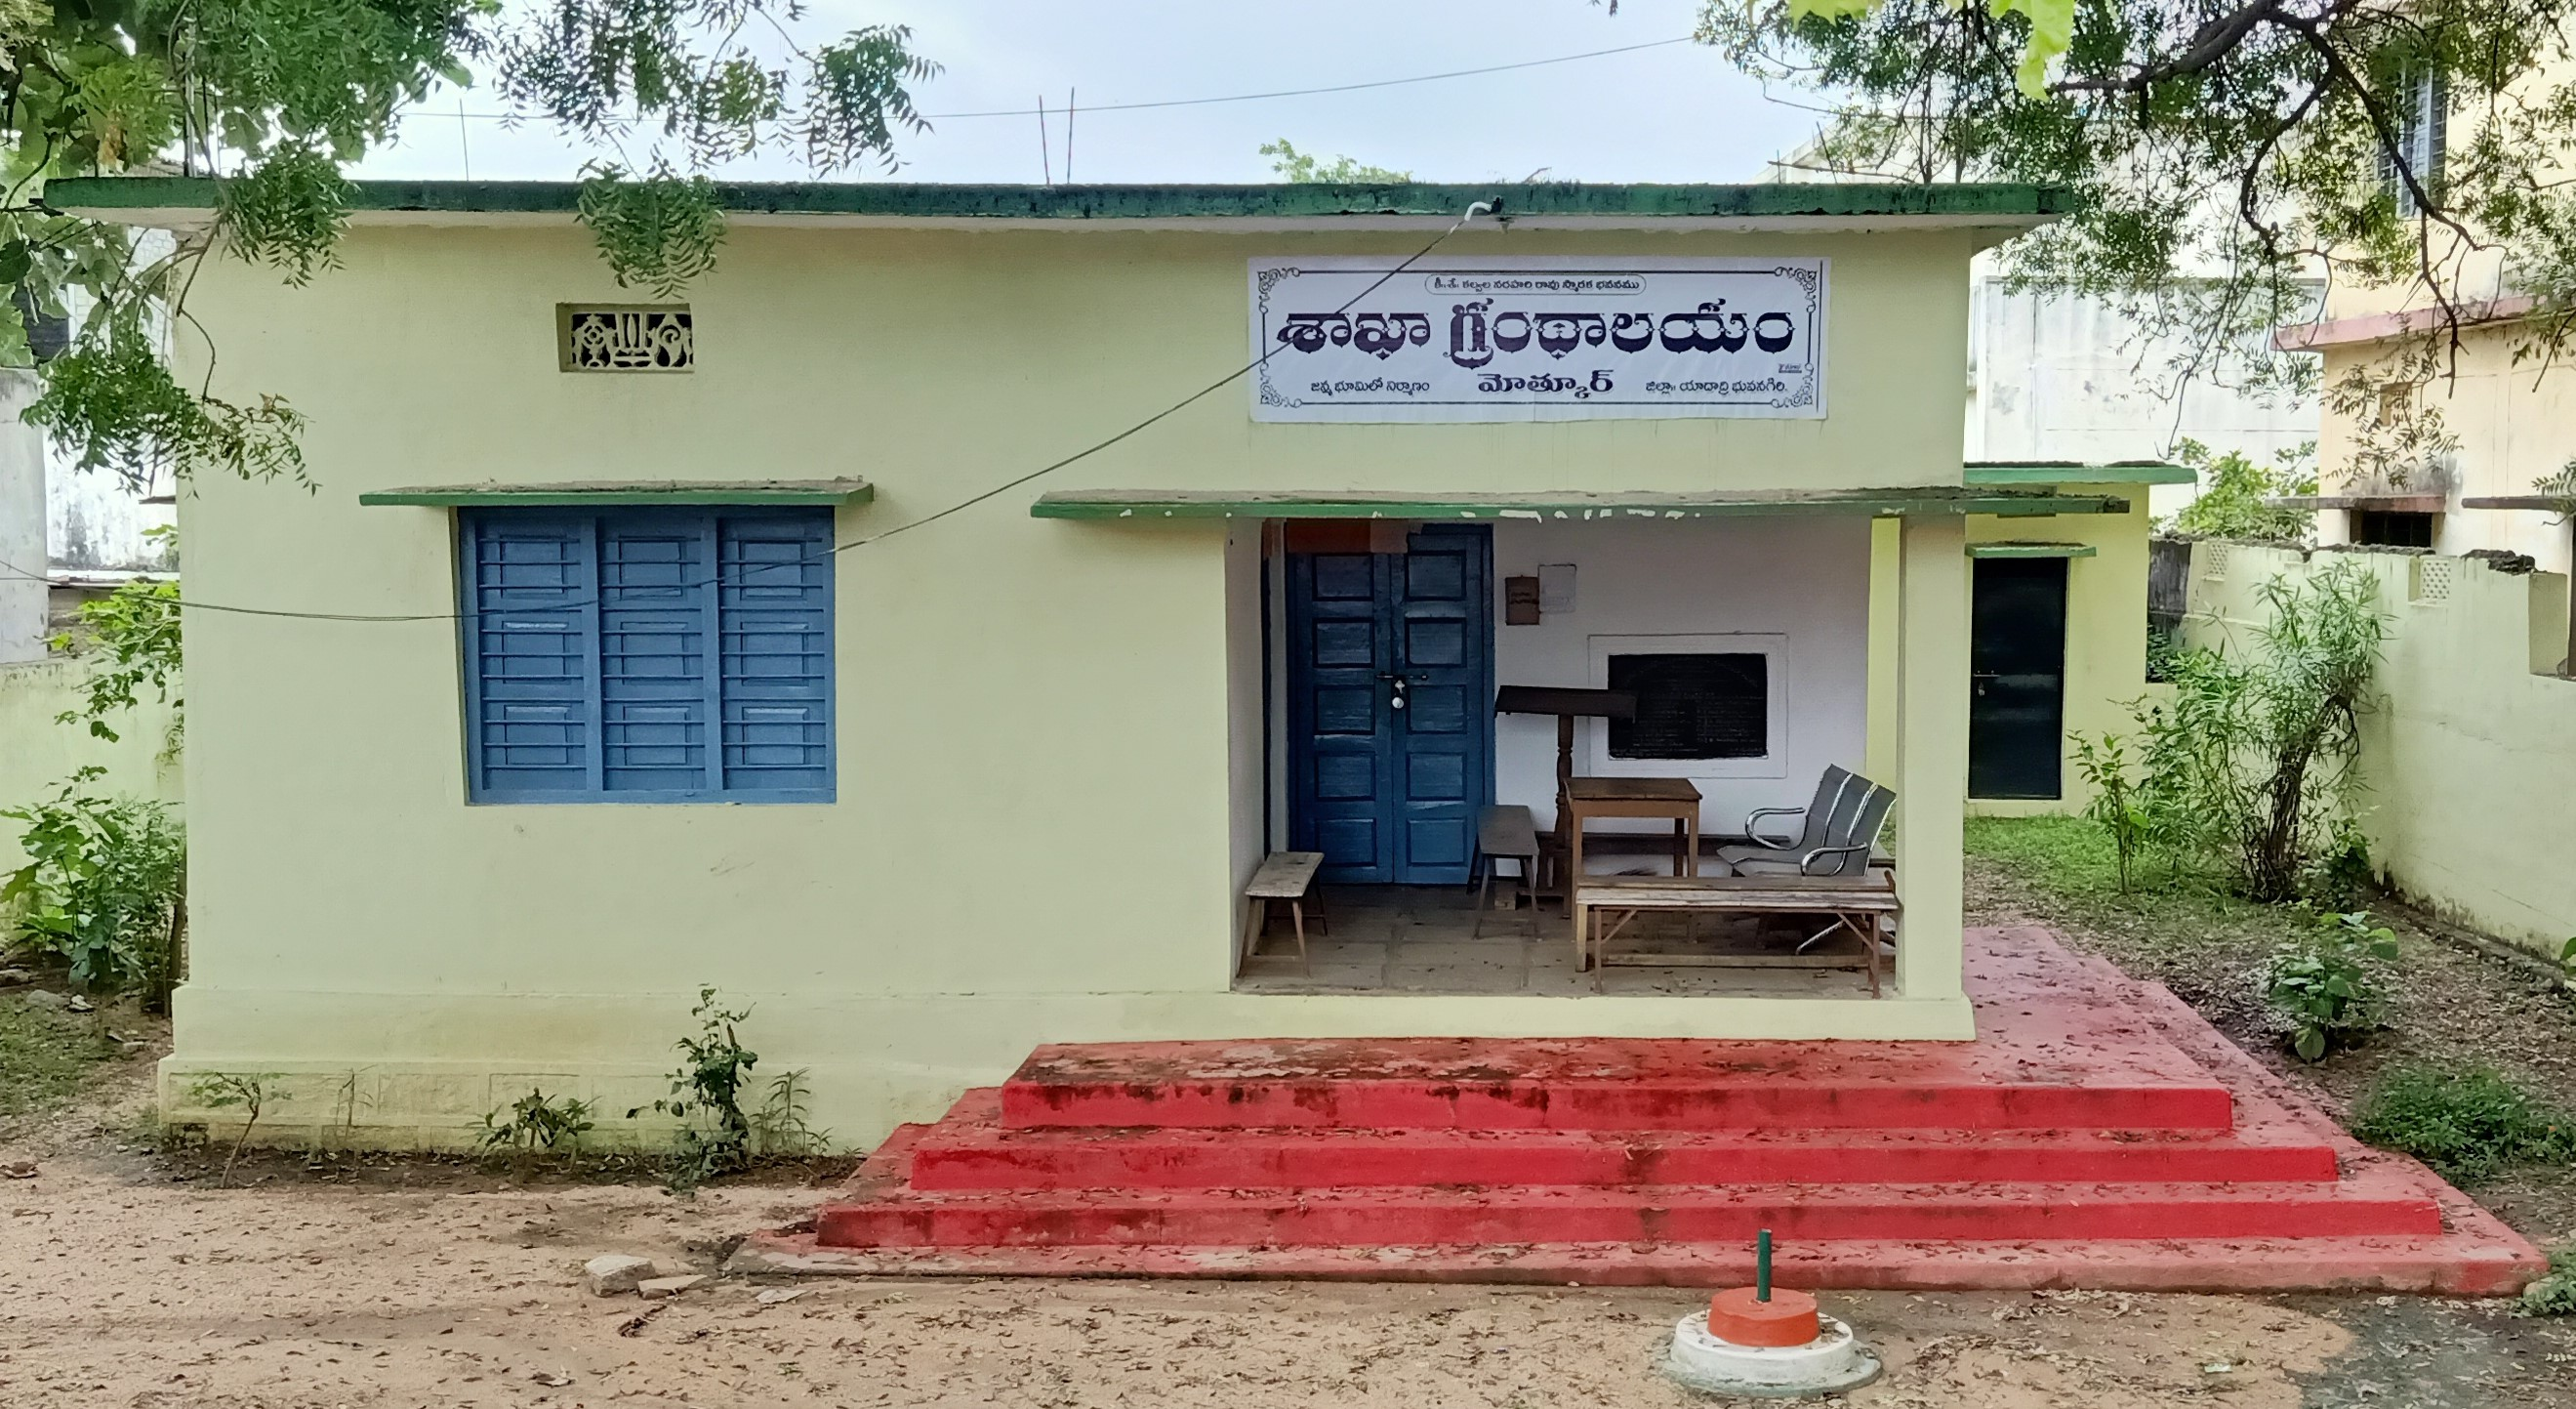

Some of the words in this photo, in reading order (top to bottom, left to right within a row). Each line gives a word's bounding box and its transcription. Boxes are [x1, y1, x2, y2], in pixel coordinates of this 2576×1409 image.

[1455, 273, 1495, 300] కల్వల
[1489, 272, 1538, 295] నరహరి
[1531, 274, 1565, 294] రావు
[1556, 269, 1596, 296] స్మారక
[1592, 273, 1644, 295] భవనము
[1270, 305, 1436, 365] శాఖా
[1443, 290, 1799, 374] గ్రంథాలయం
[1301, 372, 1388, 403] జన్మ భూమిలో
[1384, 374, 1433, 400] నిర్మాణం
[1469, 364, 1617, 404] మోత్కూర్
[1639, 369, 1682, 401] ಜಿಲ್ಲಾ।।
[1668, 374, 1733, 401] యాదాద్రి
[1723, 370, 1792, 397] భువనగిరి